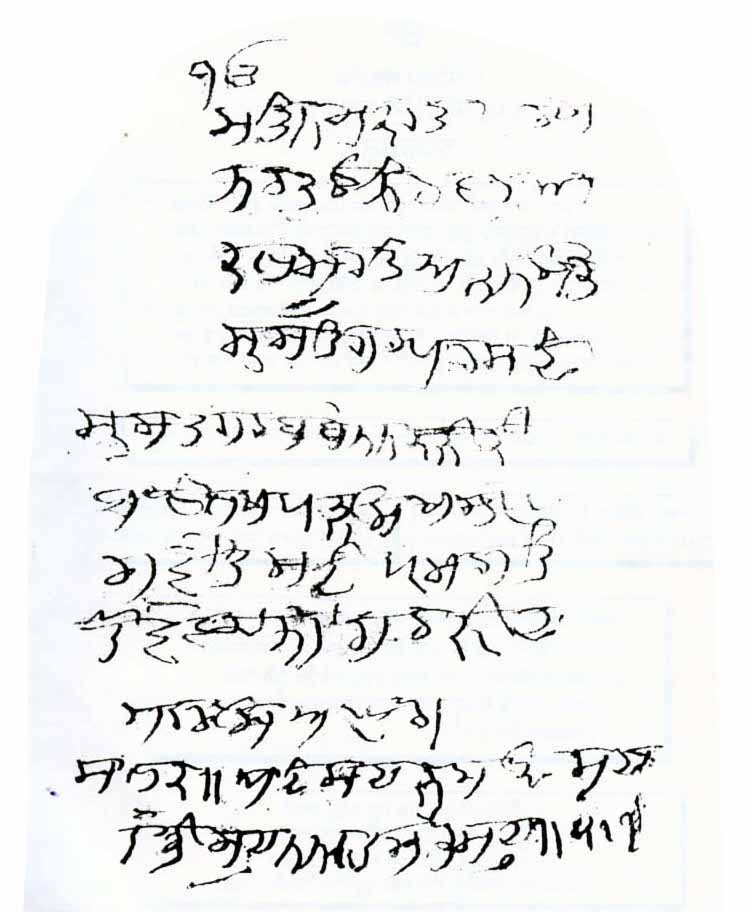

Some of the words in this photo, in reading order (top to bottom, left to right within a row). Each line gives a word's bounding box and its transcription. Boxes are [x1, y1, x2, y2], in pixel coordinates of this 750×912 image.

[175, 24, 300, 116] 96